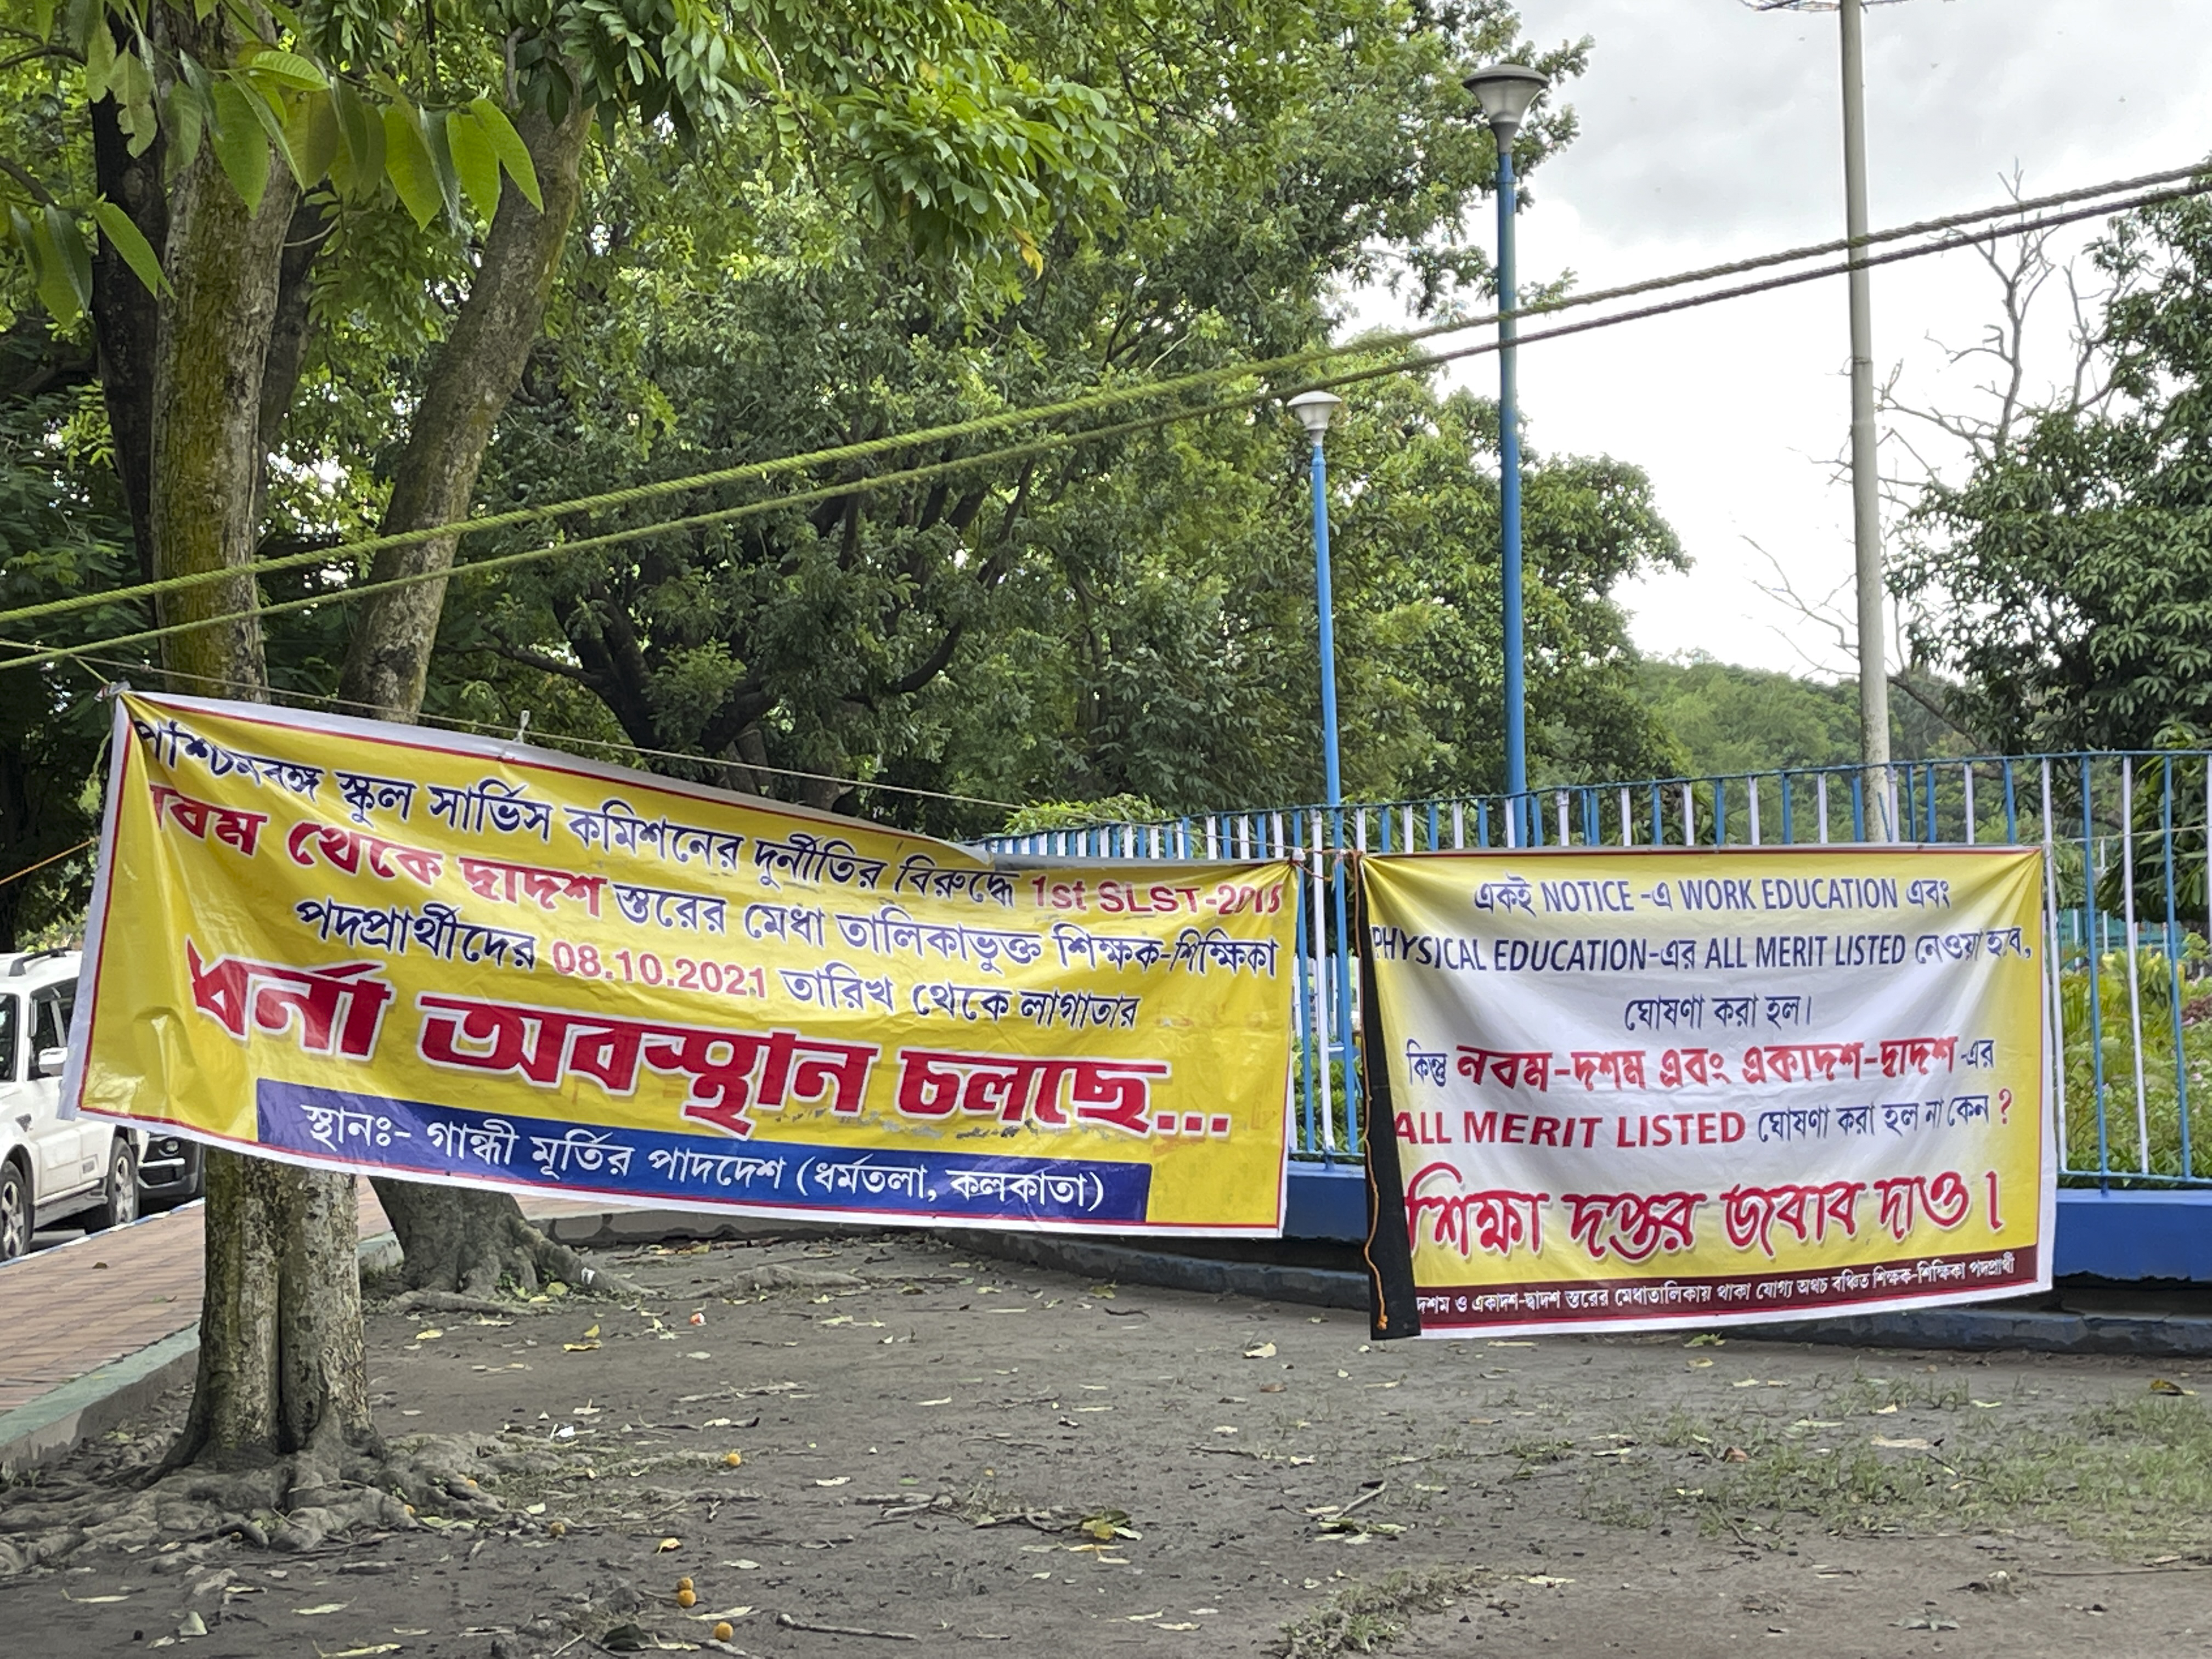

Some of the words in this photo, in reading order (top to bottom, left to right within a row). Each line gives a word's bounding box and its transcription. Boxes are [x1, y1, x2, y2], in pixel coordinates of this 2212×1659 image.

[131, 713, 329, 812] পশ্চিমবঙ্গ
[143, 777, 274, 866] বেম
[176, 938, 403, 1070] ঘর্না
[284, 813, 453, 893] থেকে
[332, 765, 419, 831] স্কুল
[287, 891, 546, 975] পদপ্রার্থীদের
[419, 768, 567, 848] সার্ভিস
[452, 850, 610, 923] দ্বাদশ
[562, 791, 749, 879] কমিশনের
[550, 934, 770, 1000] 08.10.202.1
[609, 877, 733, 948] স্তরের
[736, 895, 833, 957] মেধা
[753, 827, 898, 900] দুর্নীতির
[770, 951, 899, 1020] তারিখ
[832, 901, 1051, 983] তালিক৷ভুক্ত
[882, 845, 1029, 910] বিরুদ্ধে
[900, 975, 1014, 1029] থেকে
[1031, 868, 1098, 918] 1st
[1012, 983, 1145, 1035] লাগাতার
[1033, 910, 1172, 975] শিক্ষক
[1098, 872, 1285, 926] SLST-2015
[1162, 919, 1281, 983] -শিক্ষিকা
[1368, 919, 1487, 975] PHYSICAL
[1470, 865, 1540, 920] একই
[1489, 931, 1650, 974] EDUCATION
[1536, 872, 1634, 917] NOTICE
[1614, 986, 1708, 1036] ঘোষণা
[1647, 933, 1709, 975] -এর
[1670, 872, 1757, 917] WORK
[1699, 929, 1751, 976] ALL
[1705, 988, 1762, 1036] করা
[1754, 989, 1808, 1036] হল
[1748, 927, 1829, 976] MERIT
[1757, 873, 1901, 916] EDUCATION
[1829, 927, 1906, 969] LISTED
[1897, 870, 1956, 915] এবং
[1908, 920, 2028, 971] নেওয়া হবে
[297, 1092, 400, 1156] স্থানঃ
[425, 1110, 521, 1170] গান্ধী
[521, 1105, 636, 1187] মূর্তির
[399, 984, 885, 1138] অবস্থান
[642, 1141, 793, 1194] পাদদেশ
[801, 1151, 949, 1211] ধর্মতলা,
[938, 1162, 1092, 1214] কলকাতা
[889, 1043, 1175, 1141] চলছে
[1385, 1104, 1454, 1149] ALL
[1388, 1023, 1459, 1097] কিন্ত
[1388, 1150, 1550, 1263] শিক্ষা
[1453, 1043, 1562, 1094] নবম
[1458, 1105, 1606, 1161] MERIT
[1564, 1043, 1657, 1094] -দশম
[1565, 1182, 1708, 1267] দপ্তর
[1611, 1101, 1756, 1154] LISTED
[1650, 1038, 1732, 1096] এবং
[1710, 1173, 1872, 1270] জবাব
[1751, 1099, 1833, 1149] ঘোষণা
[1735, 1037, 1864, 1096] একাদশ
[1825, 1099, 1881, 1140] করা
[1877, 1089, 1927, 1142] হল
[1872, 1030, 1966, 1086] দ্বাদশ
[1868, 1159, 1979, 1250] দাও
[1920, 1092, 1995, 1137] নাকেন
[1956, 1030, 1998, 1075] এর
[1414, 1290, 1453, 1319] দশম
[1448, 1292, 1474, 1319] ও
[1466, 1285, 1525, 1314] একাদশ
[1519, 1283, 1568, 1318] দ্বাদশ
[1562, 1281, 1610, 1310] স্তরের
[1612, 1279, 1713, 1308] মেধাতালিকায়
[1713, 1274, 1757, 1304] থাকা
[1752, 1272, 1799, 1304] যোগ্য
[1792, 1273, 1832, 1299] অথচ
[1825, 1265, 1873, 1300] বঞ্চিত
[1862, 1261, 1914, 1290] শিক্ষক-
[1909, 1251, 1968, 1287] -শিক্ষিকা
[1962, 1246, 2019, 1282] পদপ্রার্থী